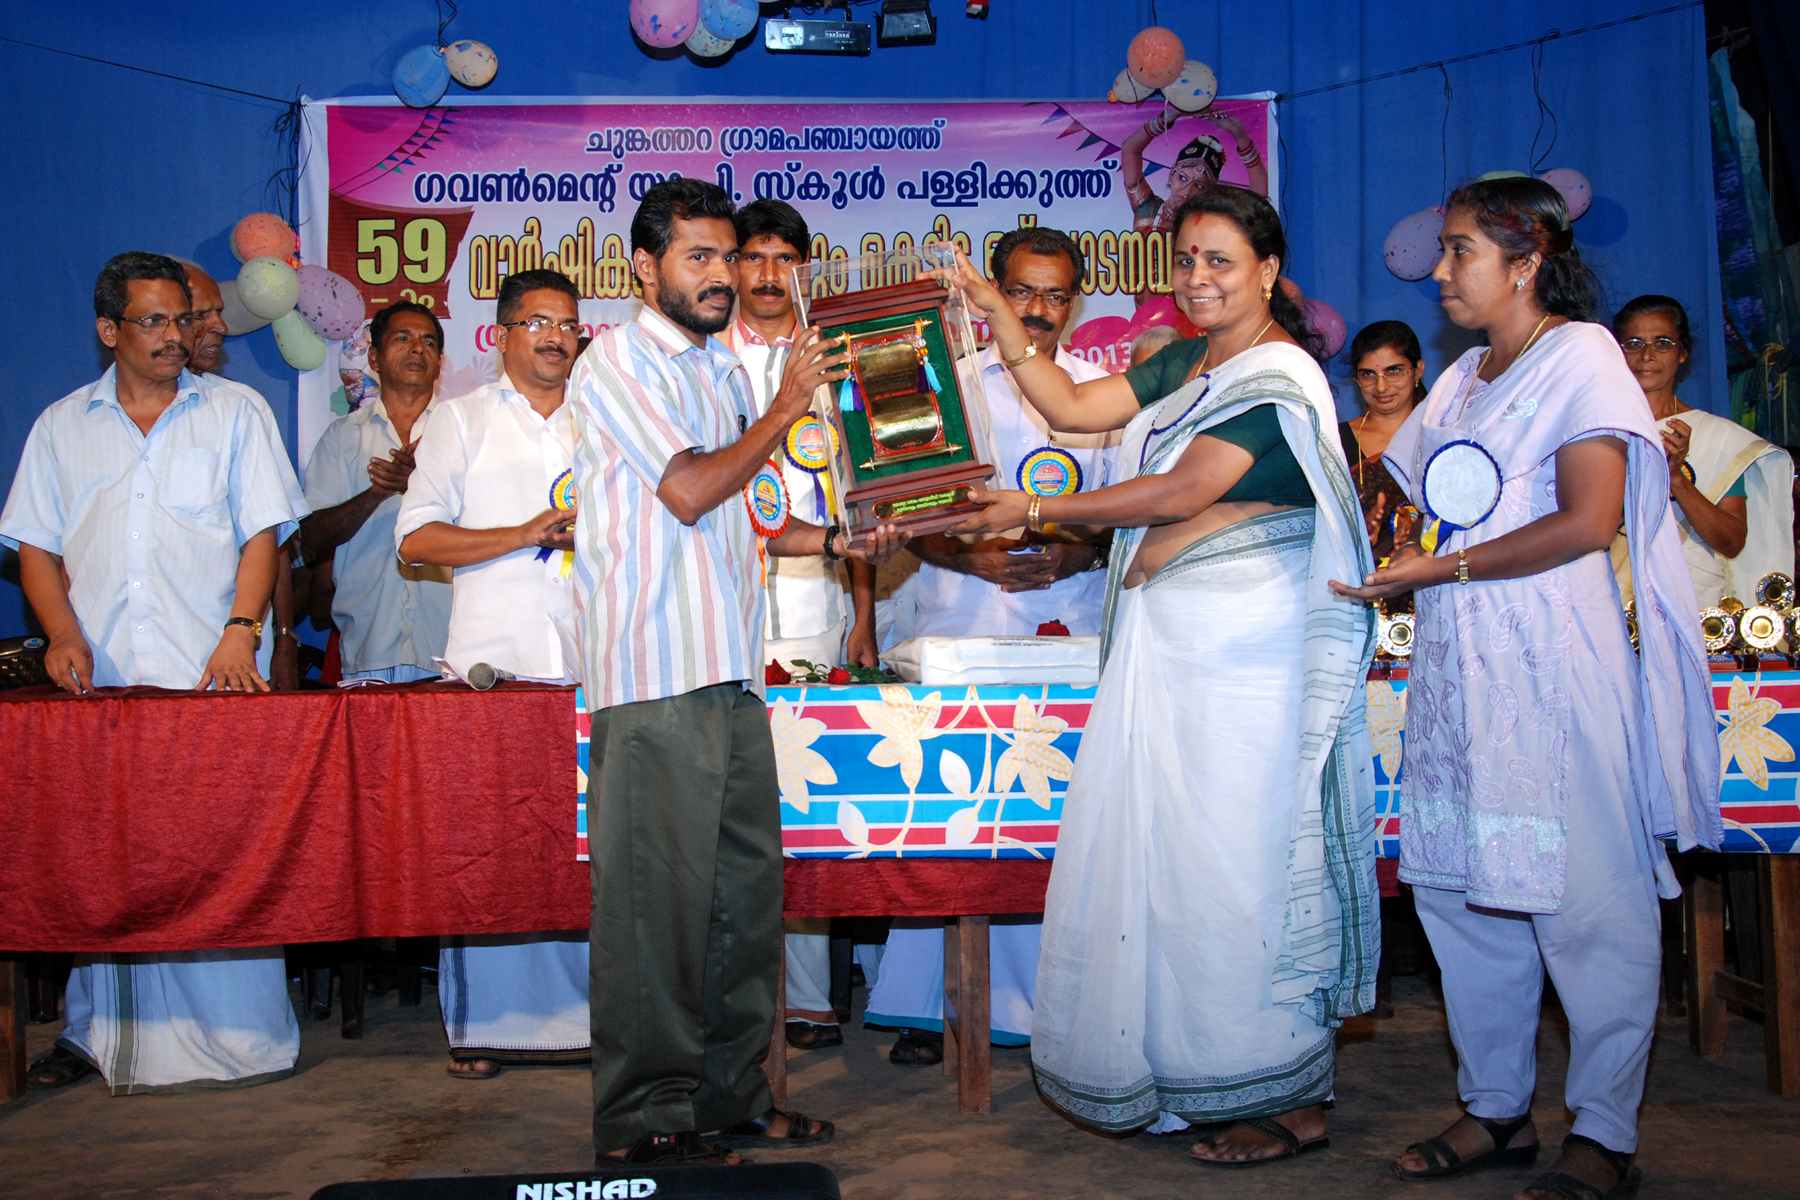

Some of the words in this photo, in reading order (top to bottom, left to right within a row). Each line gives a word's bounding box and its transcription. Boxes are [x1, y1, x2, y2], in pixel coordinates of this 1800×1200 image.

[578, 121, 719, 163] ചുങ്കത്തറ
[718, 115, 952, 161] ഗ്രാമപഞ്ചായത്ത്
[411, 156, 627, 217] ഗവൺമെൻ്റ്
[743, 155, 894, 214] സ്‌കൂൾ
[895, 151, 1123, 215] പള്ളിക്കുത്ത്
[346, 209, 452, 293] 59
[463, 208, 639, 303] വാർഷിക
[503, 1172, 666, 1198] NISHAD